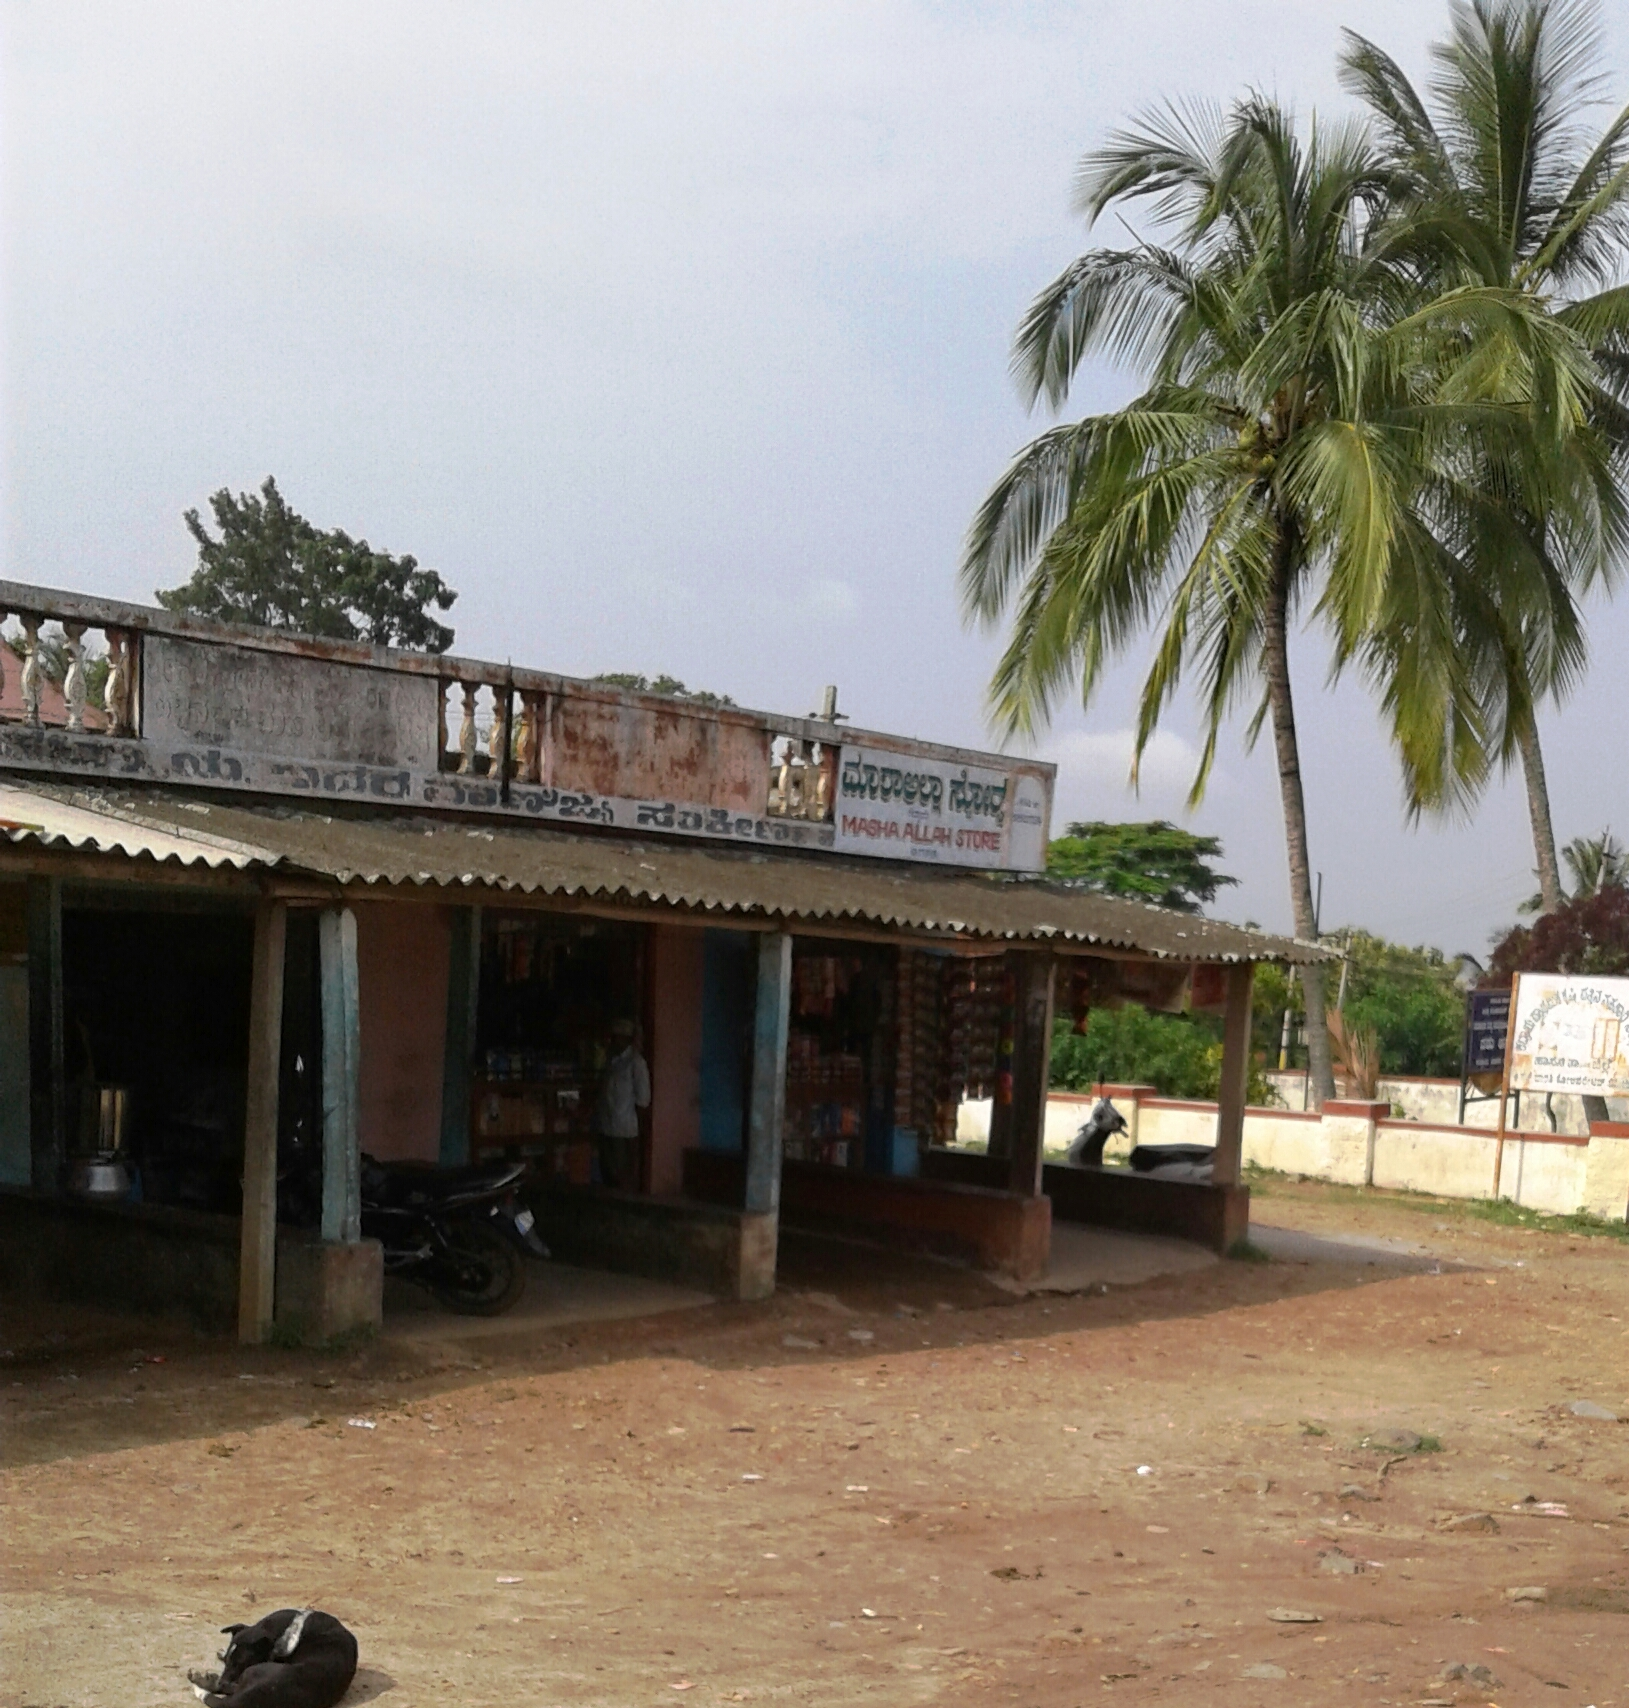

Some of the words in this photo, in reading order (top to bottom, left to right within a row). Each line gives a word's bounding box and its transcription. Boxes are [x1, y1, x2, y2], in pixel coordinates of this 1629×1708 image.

[168, 739, 254, 791] ಯ.
[263, 755, 416, 802] ಇವರ
[839, 744, 948, 815] ಮಾರಾಅಲ್ಲಾ
[634, 800, 842, 853] ಸಂಕೀರ್ಣತ
[836, 808, 956, 850] MASHAALLAH
[952, 825, 1005, 855] STORE